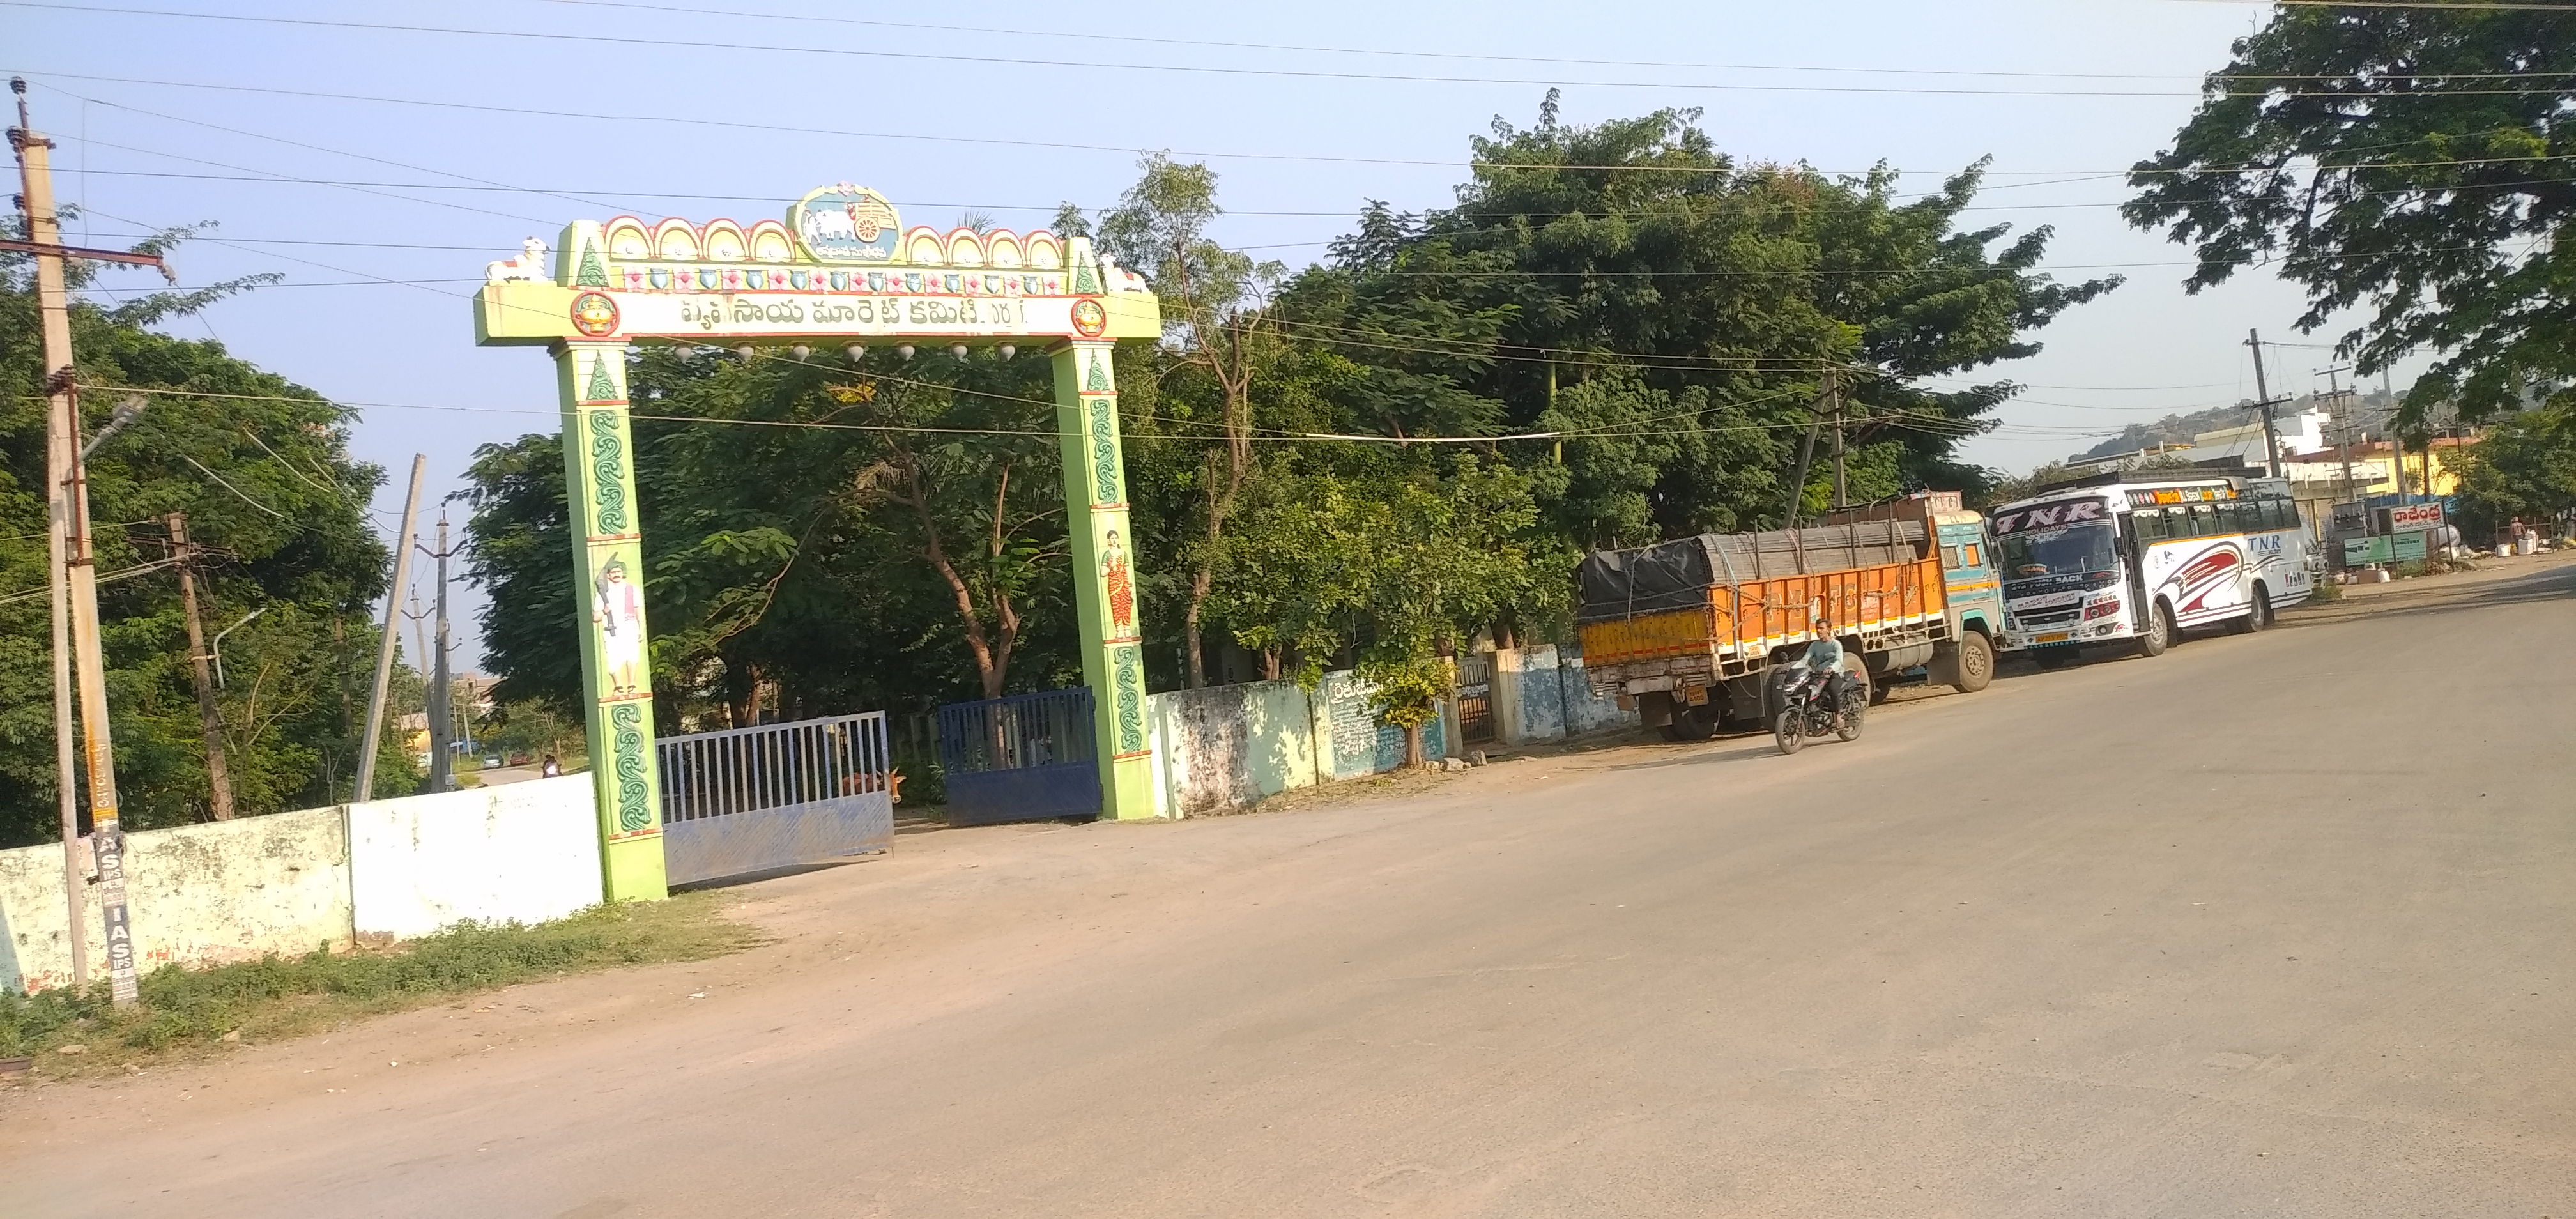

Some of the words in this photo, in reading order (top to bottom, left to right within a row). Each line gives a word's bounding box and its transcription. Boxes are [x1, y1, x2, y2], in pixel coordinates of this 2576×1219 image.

[672, 296, 726, 331] వ్యవ
[730, 292, 808, 328] సాయ
[808, 297, 878, 329] మారె
[876, 296, 903, 329] ట్ఙ
[907, 297, 979, 328] కమిటి
[2389, 500, 2444, 525] రాజేంద్ర